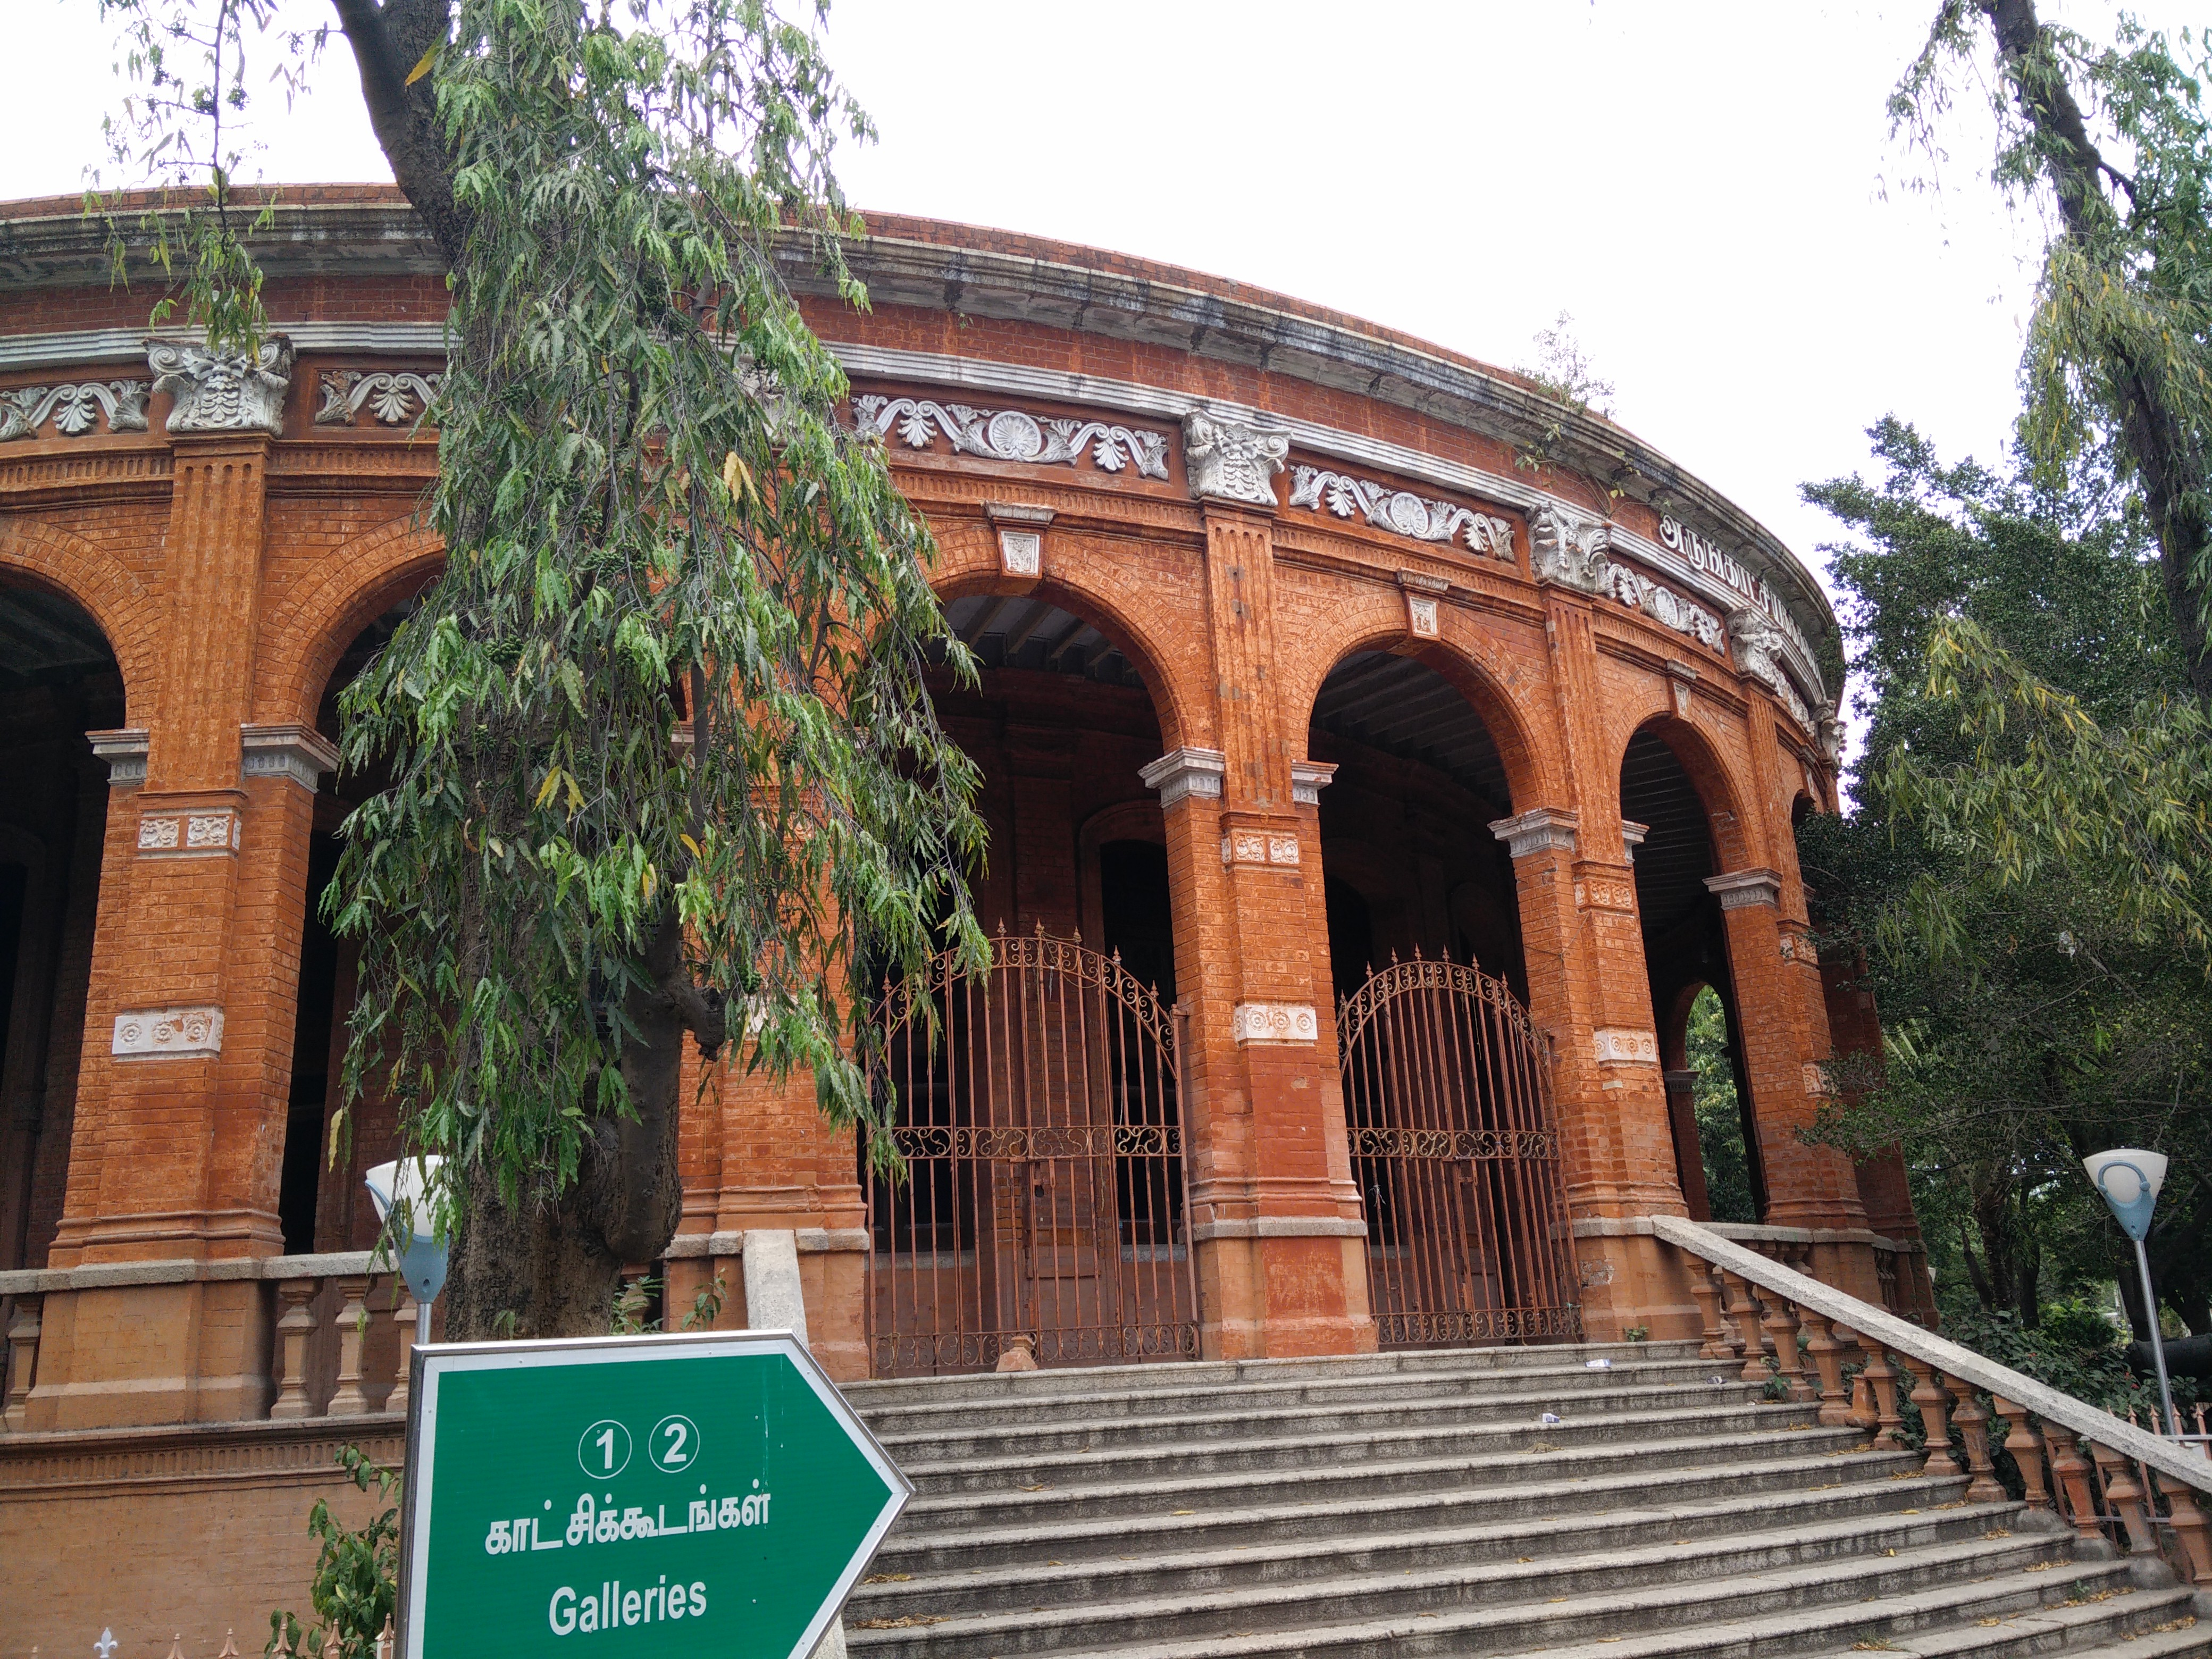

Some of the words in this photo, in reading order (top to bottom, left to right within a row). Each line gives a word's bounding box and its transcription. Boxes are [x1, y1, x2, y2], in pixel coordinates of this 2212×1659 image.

[480, 1474, 773, 1559] காட்சிக்௯டங்கள்
[541, 1573, 709, 1638] Galleries